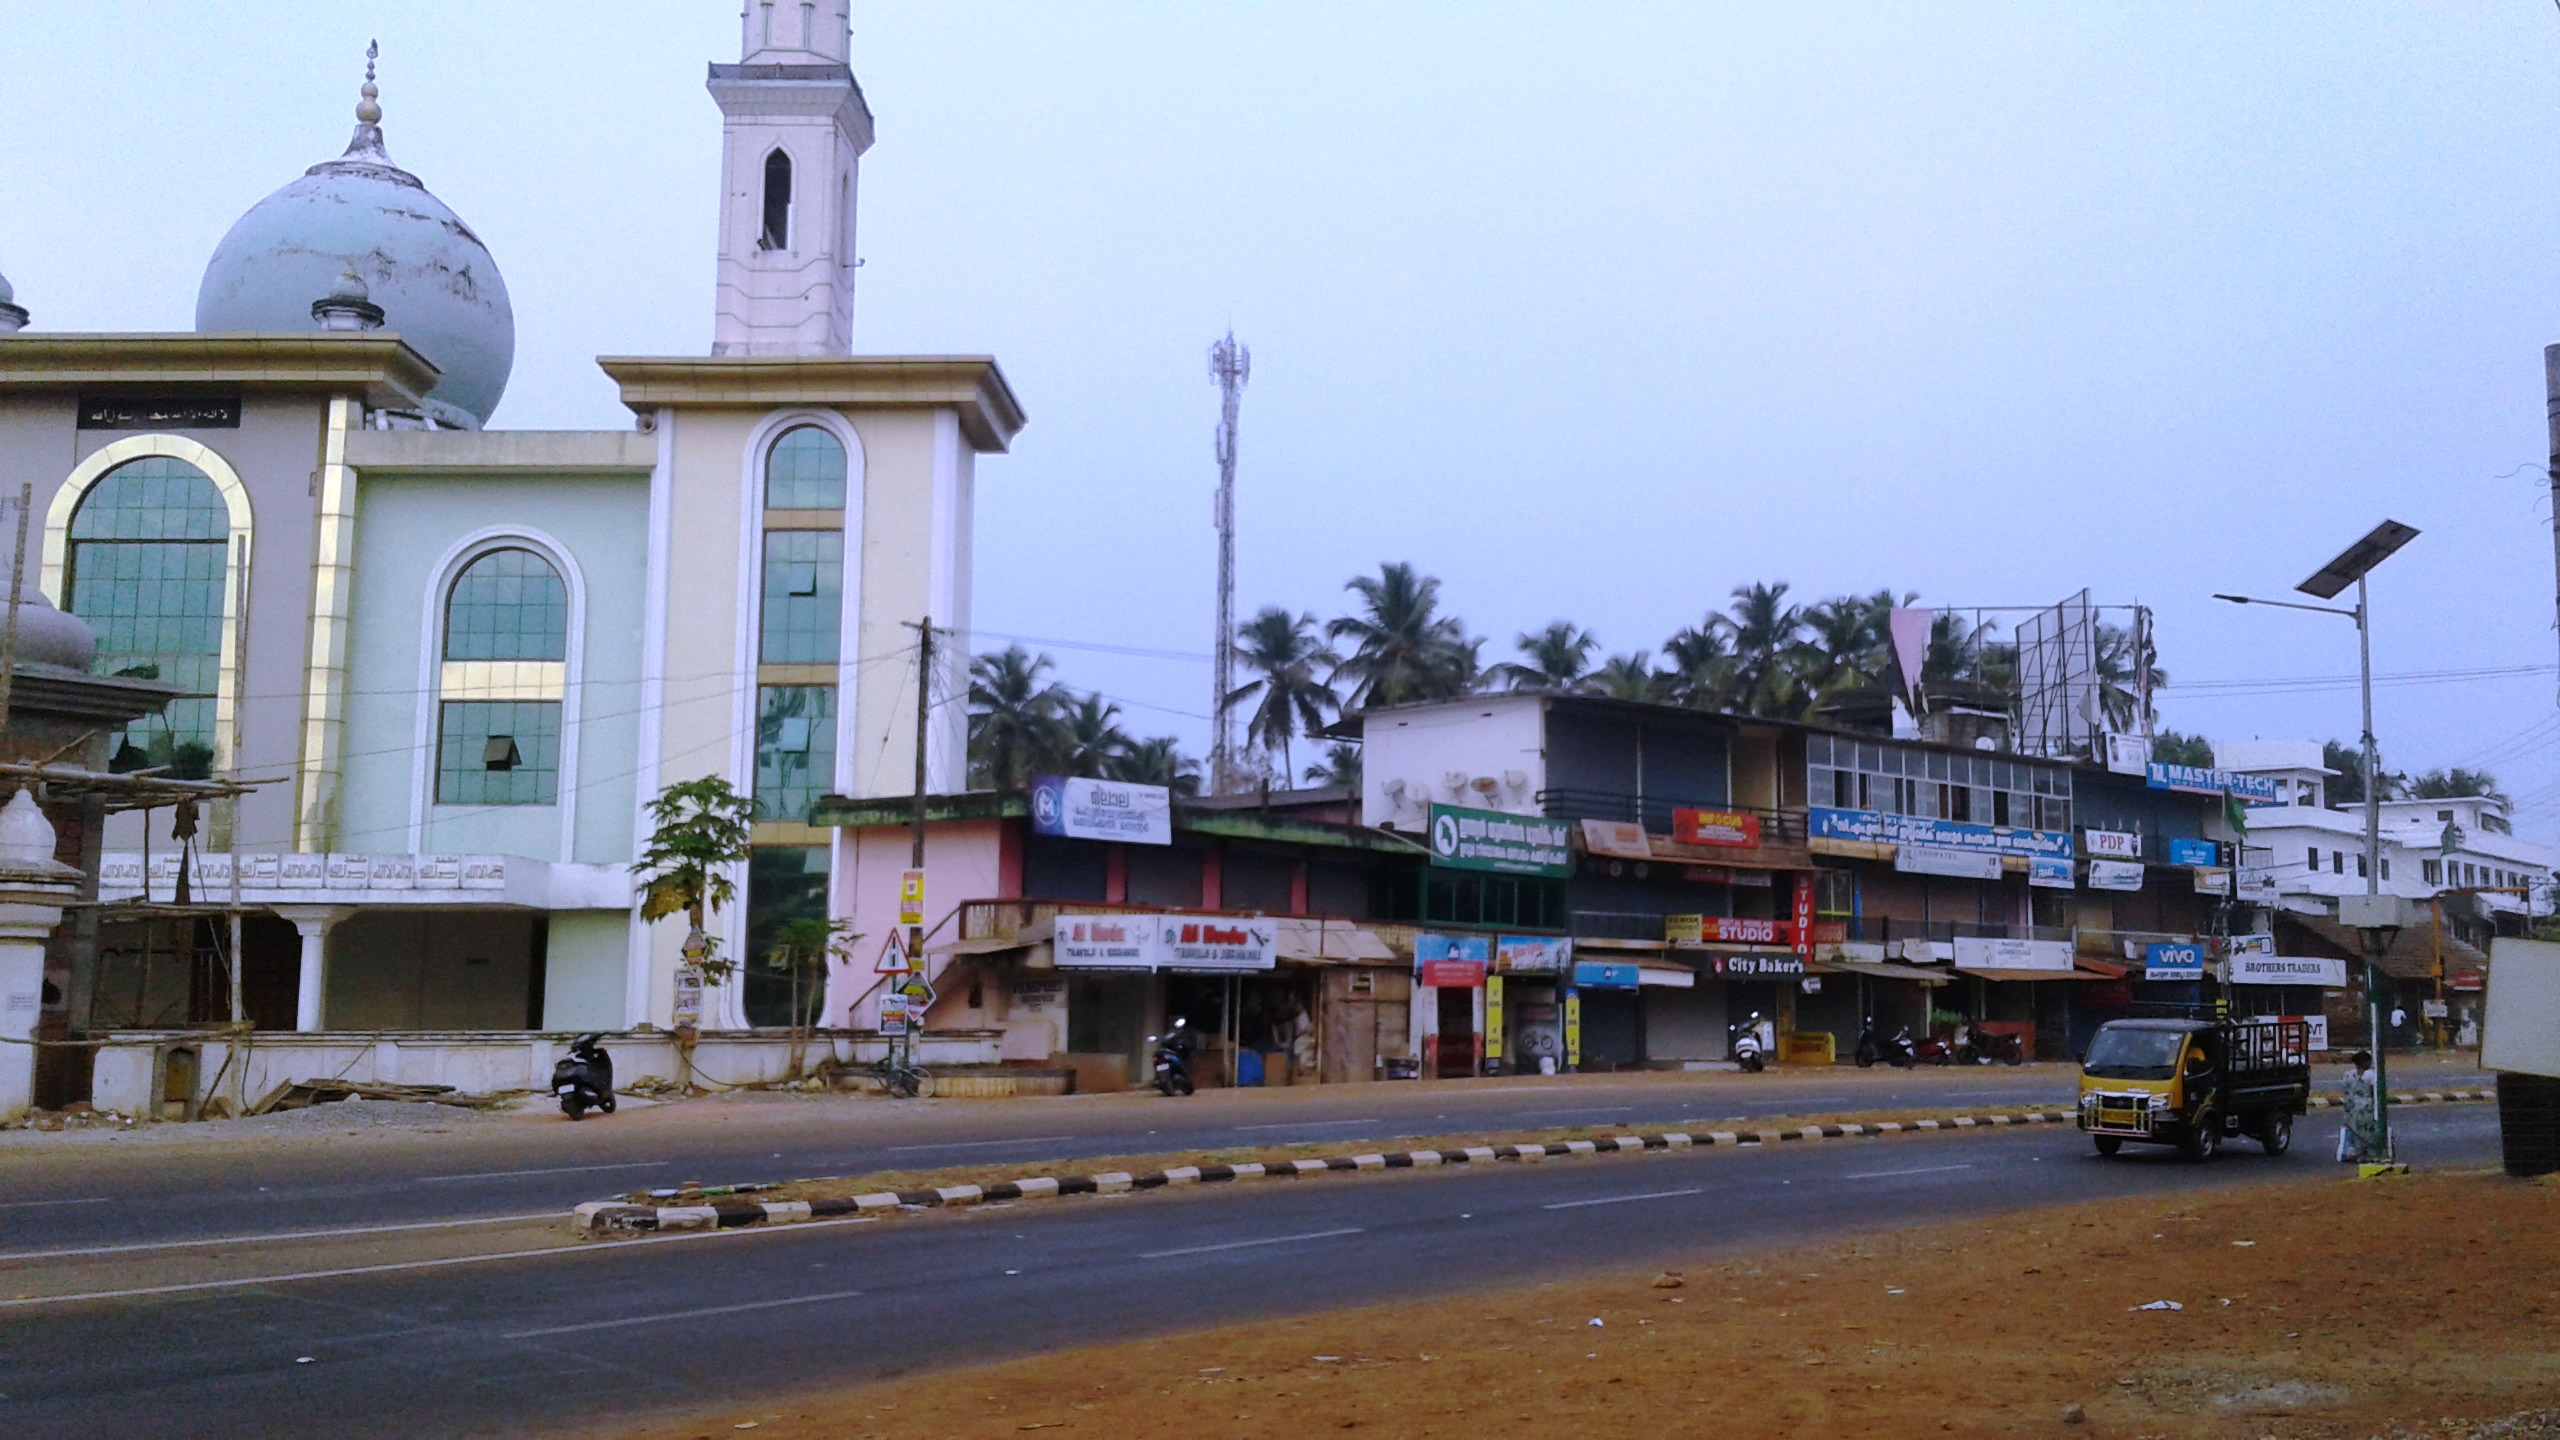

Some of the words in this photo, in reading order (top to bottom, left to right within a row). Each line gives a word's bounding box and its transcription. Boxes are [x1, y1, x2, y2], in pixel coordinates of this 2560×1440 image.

[2162, 760, 2236, 789] MASTER
[2235, 769, 2279, 797] TECH
[1087, 785, 1136, 811] മലാല
[1695, 810, 1749, 831] INFOCUS
[2095, 831, 2129, 854] PDP
[1715, 923, 1779, 947] STUDIO
[1725, 947, 1760, 976] City
[1753, 954, 1808, 981] Baker
[2155, 935, 2201, 968] vivo
[2238, 957, 2290, 977] BROTHERS
[2287, 957, 2326, 978] TRADERS